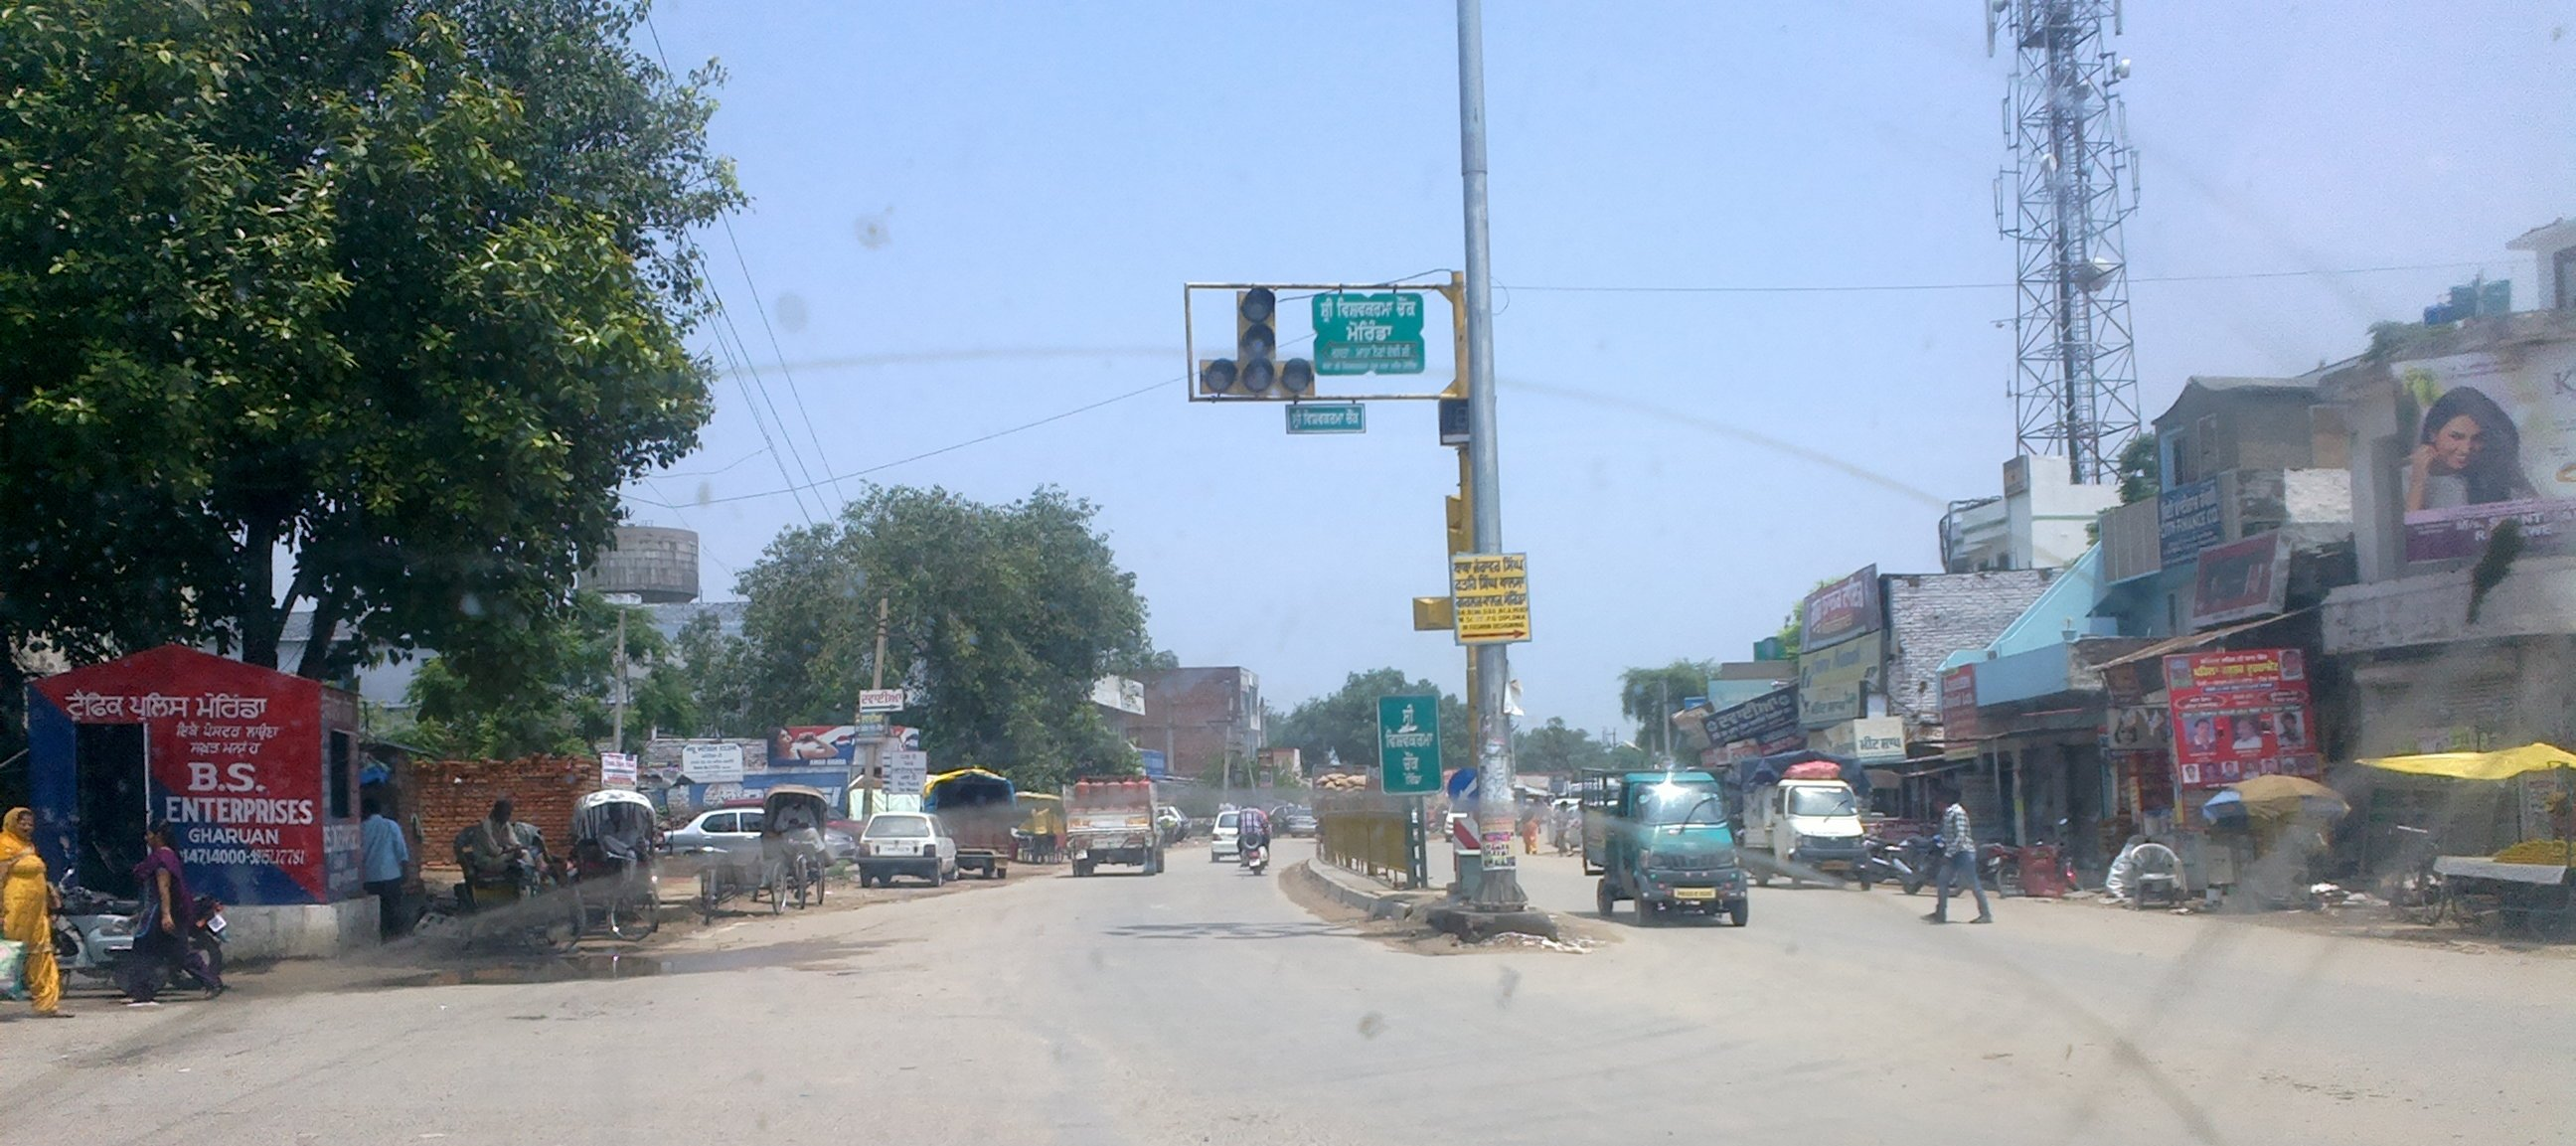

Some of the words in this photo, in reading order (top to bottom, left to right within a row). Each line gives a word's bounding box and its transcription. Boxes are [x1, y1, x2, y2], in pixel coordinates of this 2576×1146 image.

[1341, 317, 1396, 343] ਮੋਰਿੰਡਾ
[57, 685, 127, 725] ਟ੍ਰੈਫਿਕ
[125, 685, 193, 722] ਪੁਲਿਸ
[191, 689, 271, 721] ਮੋਰਿਂਡਾ
[200, 721, 242, 740] ਪੇਸਟਰ
[242, 720, 285, 742] ਲਾਉਣਾ
[182, 738, 223, 758] ਸਖ਼ੜ
[220, 738, 265, 762] ਮਨਾਂਹ
[182, 757, 268, 794] B.S.
[160, 792, 315, 828] ENTERPRISES
[184, 827, 284, 847] GHARUAN
[180, 848, 247, 866] 14714000